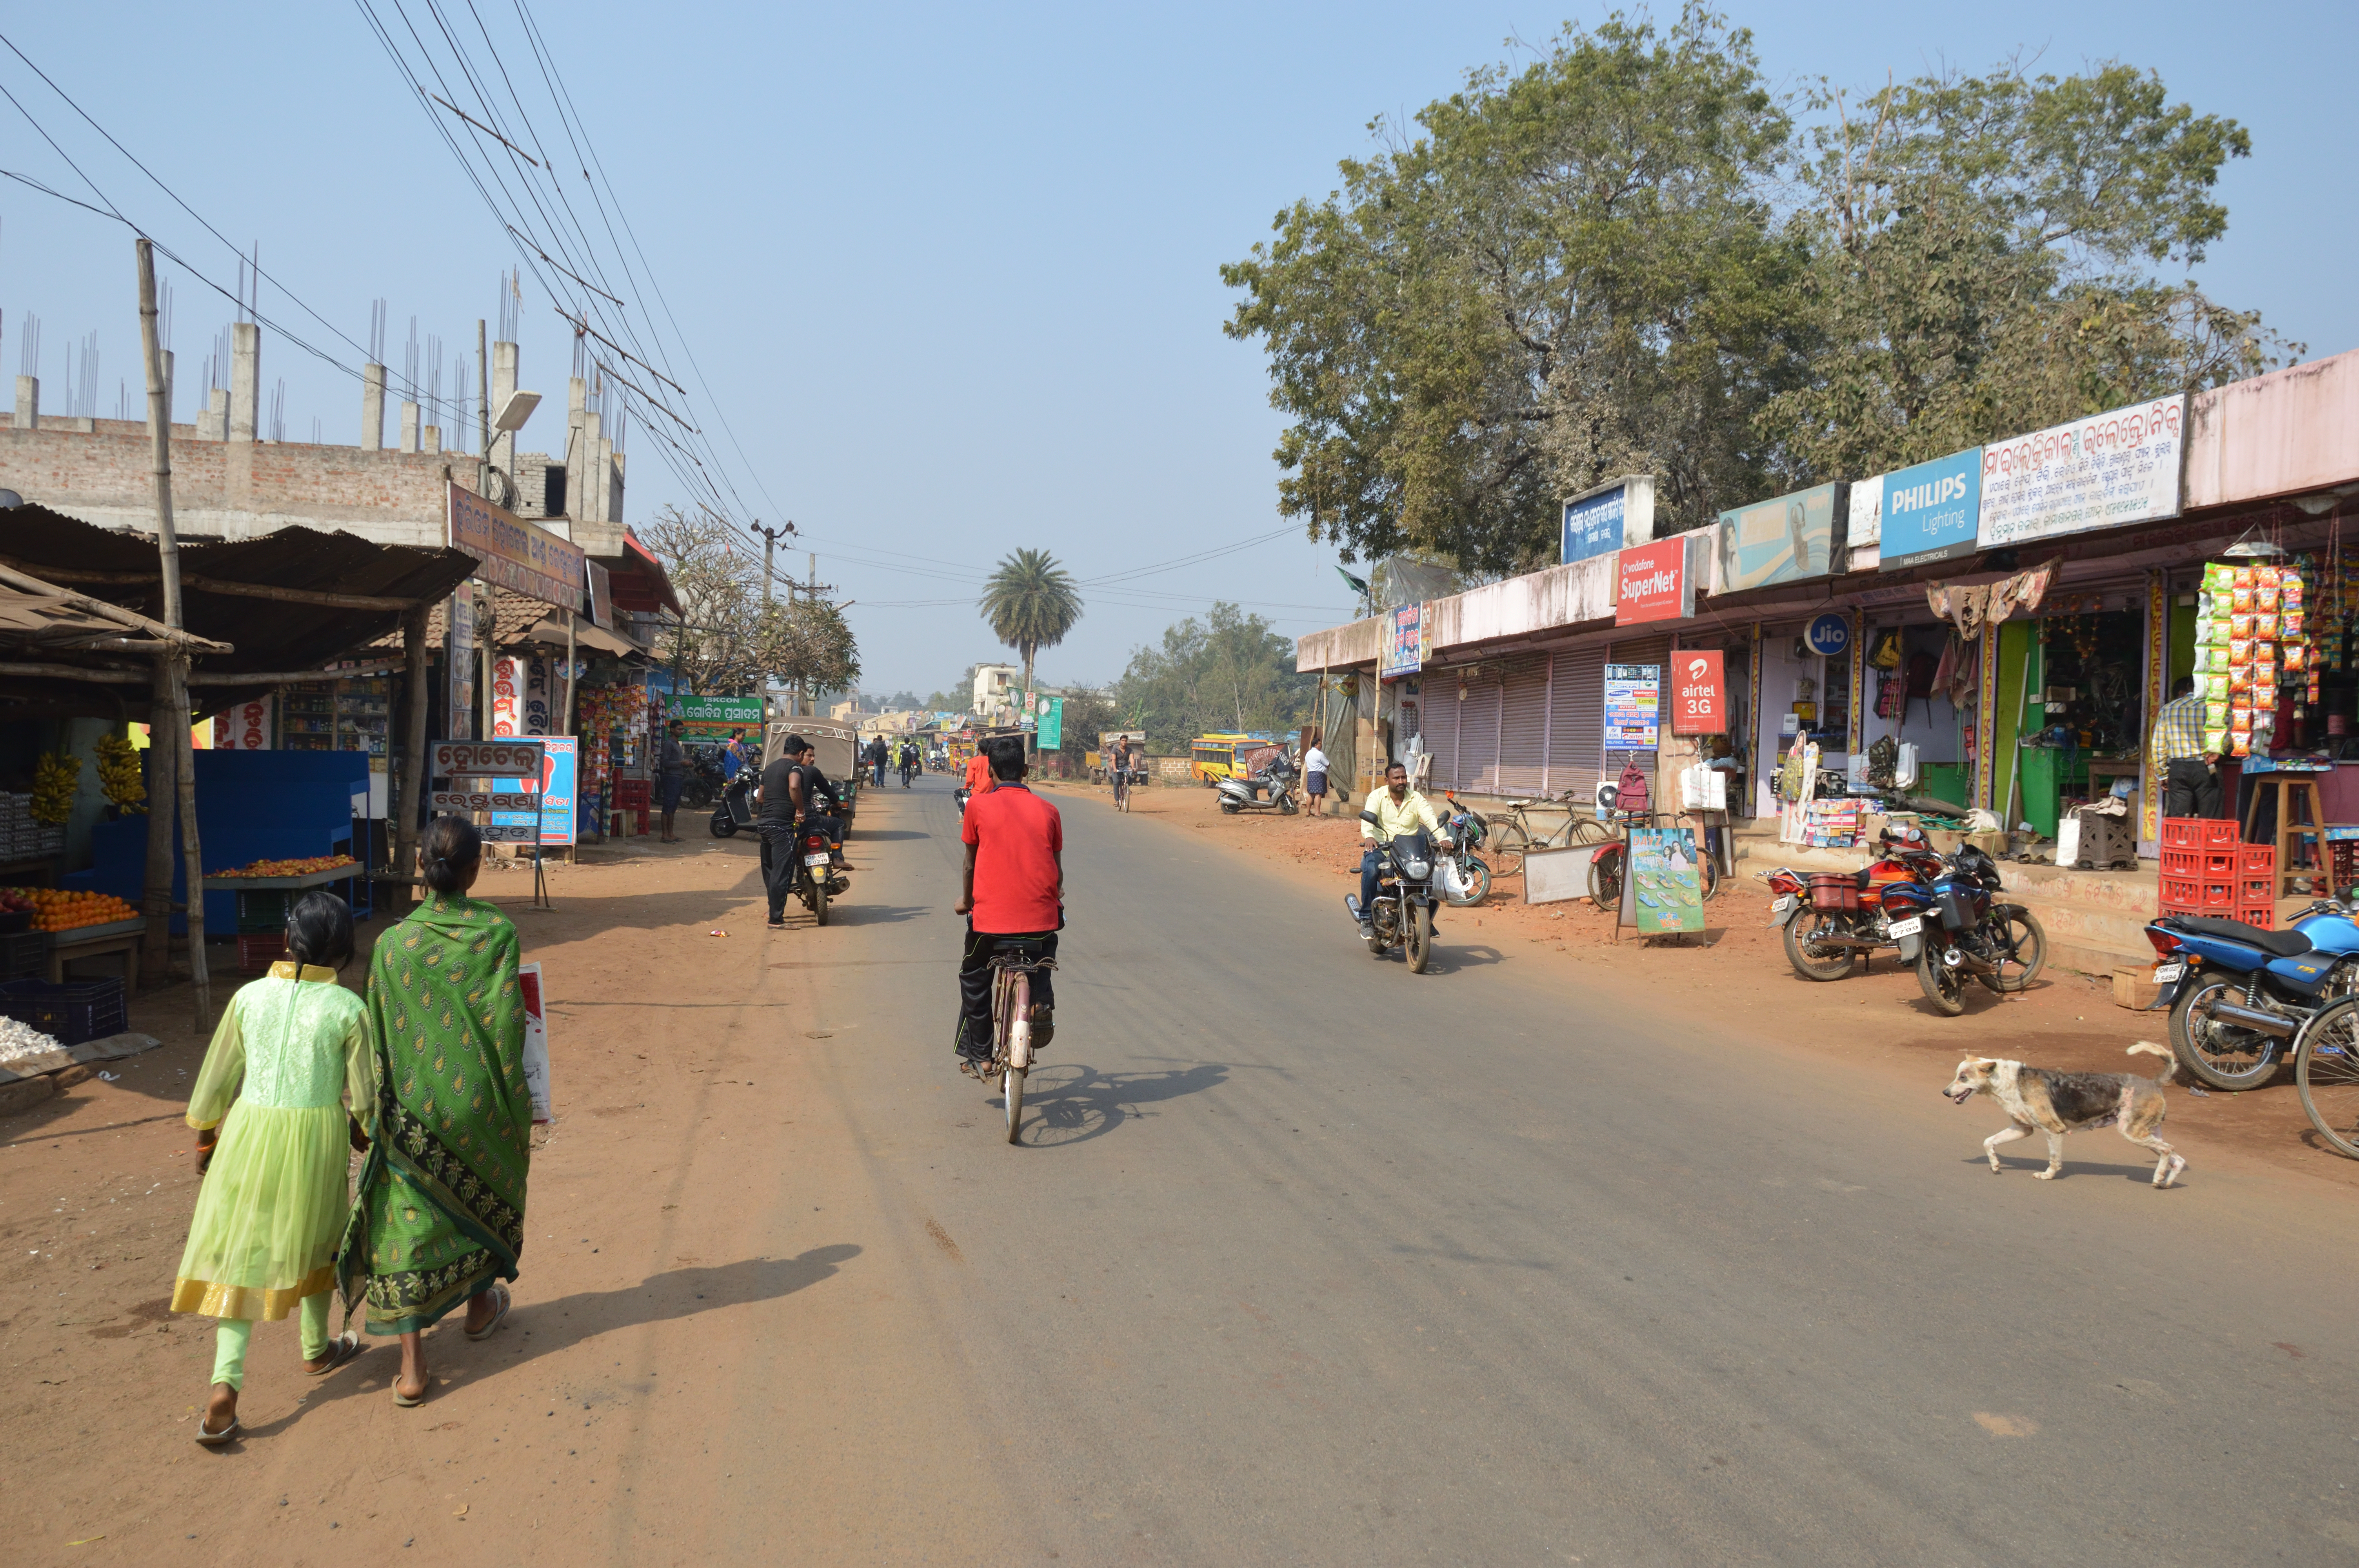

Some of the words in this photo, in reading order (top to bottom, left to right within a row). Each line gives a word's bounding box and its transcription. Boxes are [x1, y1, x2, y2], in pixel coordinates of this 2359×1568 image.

[2080, 398, 2184, 457] ଇଲେକ୍ଟ୍ରୋନିକ୍ପ
[2151, 438, 2174, 460] ସ୍କୁଲର
[1891, 470, 1968, 518] PHILIPS
[1987, 477, 2010, 495] VOI66
[455, 490, 493, 548] ହବିଓମ
[1918, 503, 1966, 537] Lighting
[1987, 520, 2018, 543] ତ୍ନୁମାନ
[2014, 517, 2041, 534] ବଜାର
[529, 534, 548, 570] ଆଣ୍ତ
[1625, 557, 1656, 574] vodafone
[1901, 547, 1950, 566] MAAELECTRICALS
[1619, 569, 1676, 604] SuperNet
[1396, 602, 1421, 629] ମତାକିନା
[454, 619, 474, 643] SWEETS
[1393, 626, 1420, 654] ଚୁତି ମତୁଲ
[1808, 621, 1851, 646] Jio
[1607, 682, 1639, 689] NOKIA
[1678, 682, 1717, 697] airtel
[687, 701, 723, 720] ଗୋବିନ୍ଦ
[703, 695, 741, 705] ISKCON
[724, 706, 762, 724] ପ୍ରସାଦମ୍
[1606, 709, 1626, 719] ଏଠାରେ
[1637, 698, 1656, 705] Lemon
[1639, 709, 1657, 719] ପ୍ରକାର
[1685, 697, 1712, 715] 3G
[534, 736, 574, 755] କିତ୍ସାଳୟ
[1625, 732, 1644, 740] airtel
[437, 742, 539, 773] ହୋଟେଲ
[432, 792, 538, 813] ରେଷ୍ଟଗଣ୍ଟ
[543, 792, 572, 808] ସିତା
[484, 824, 529, 844] ଫୁଡ୍